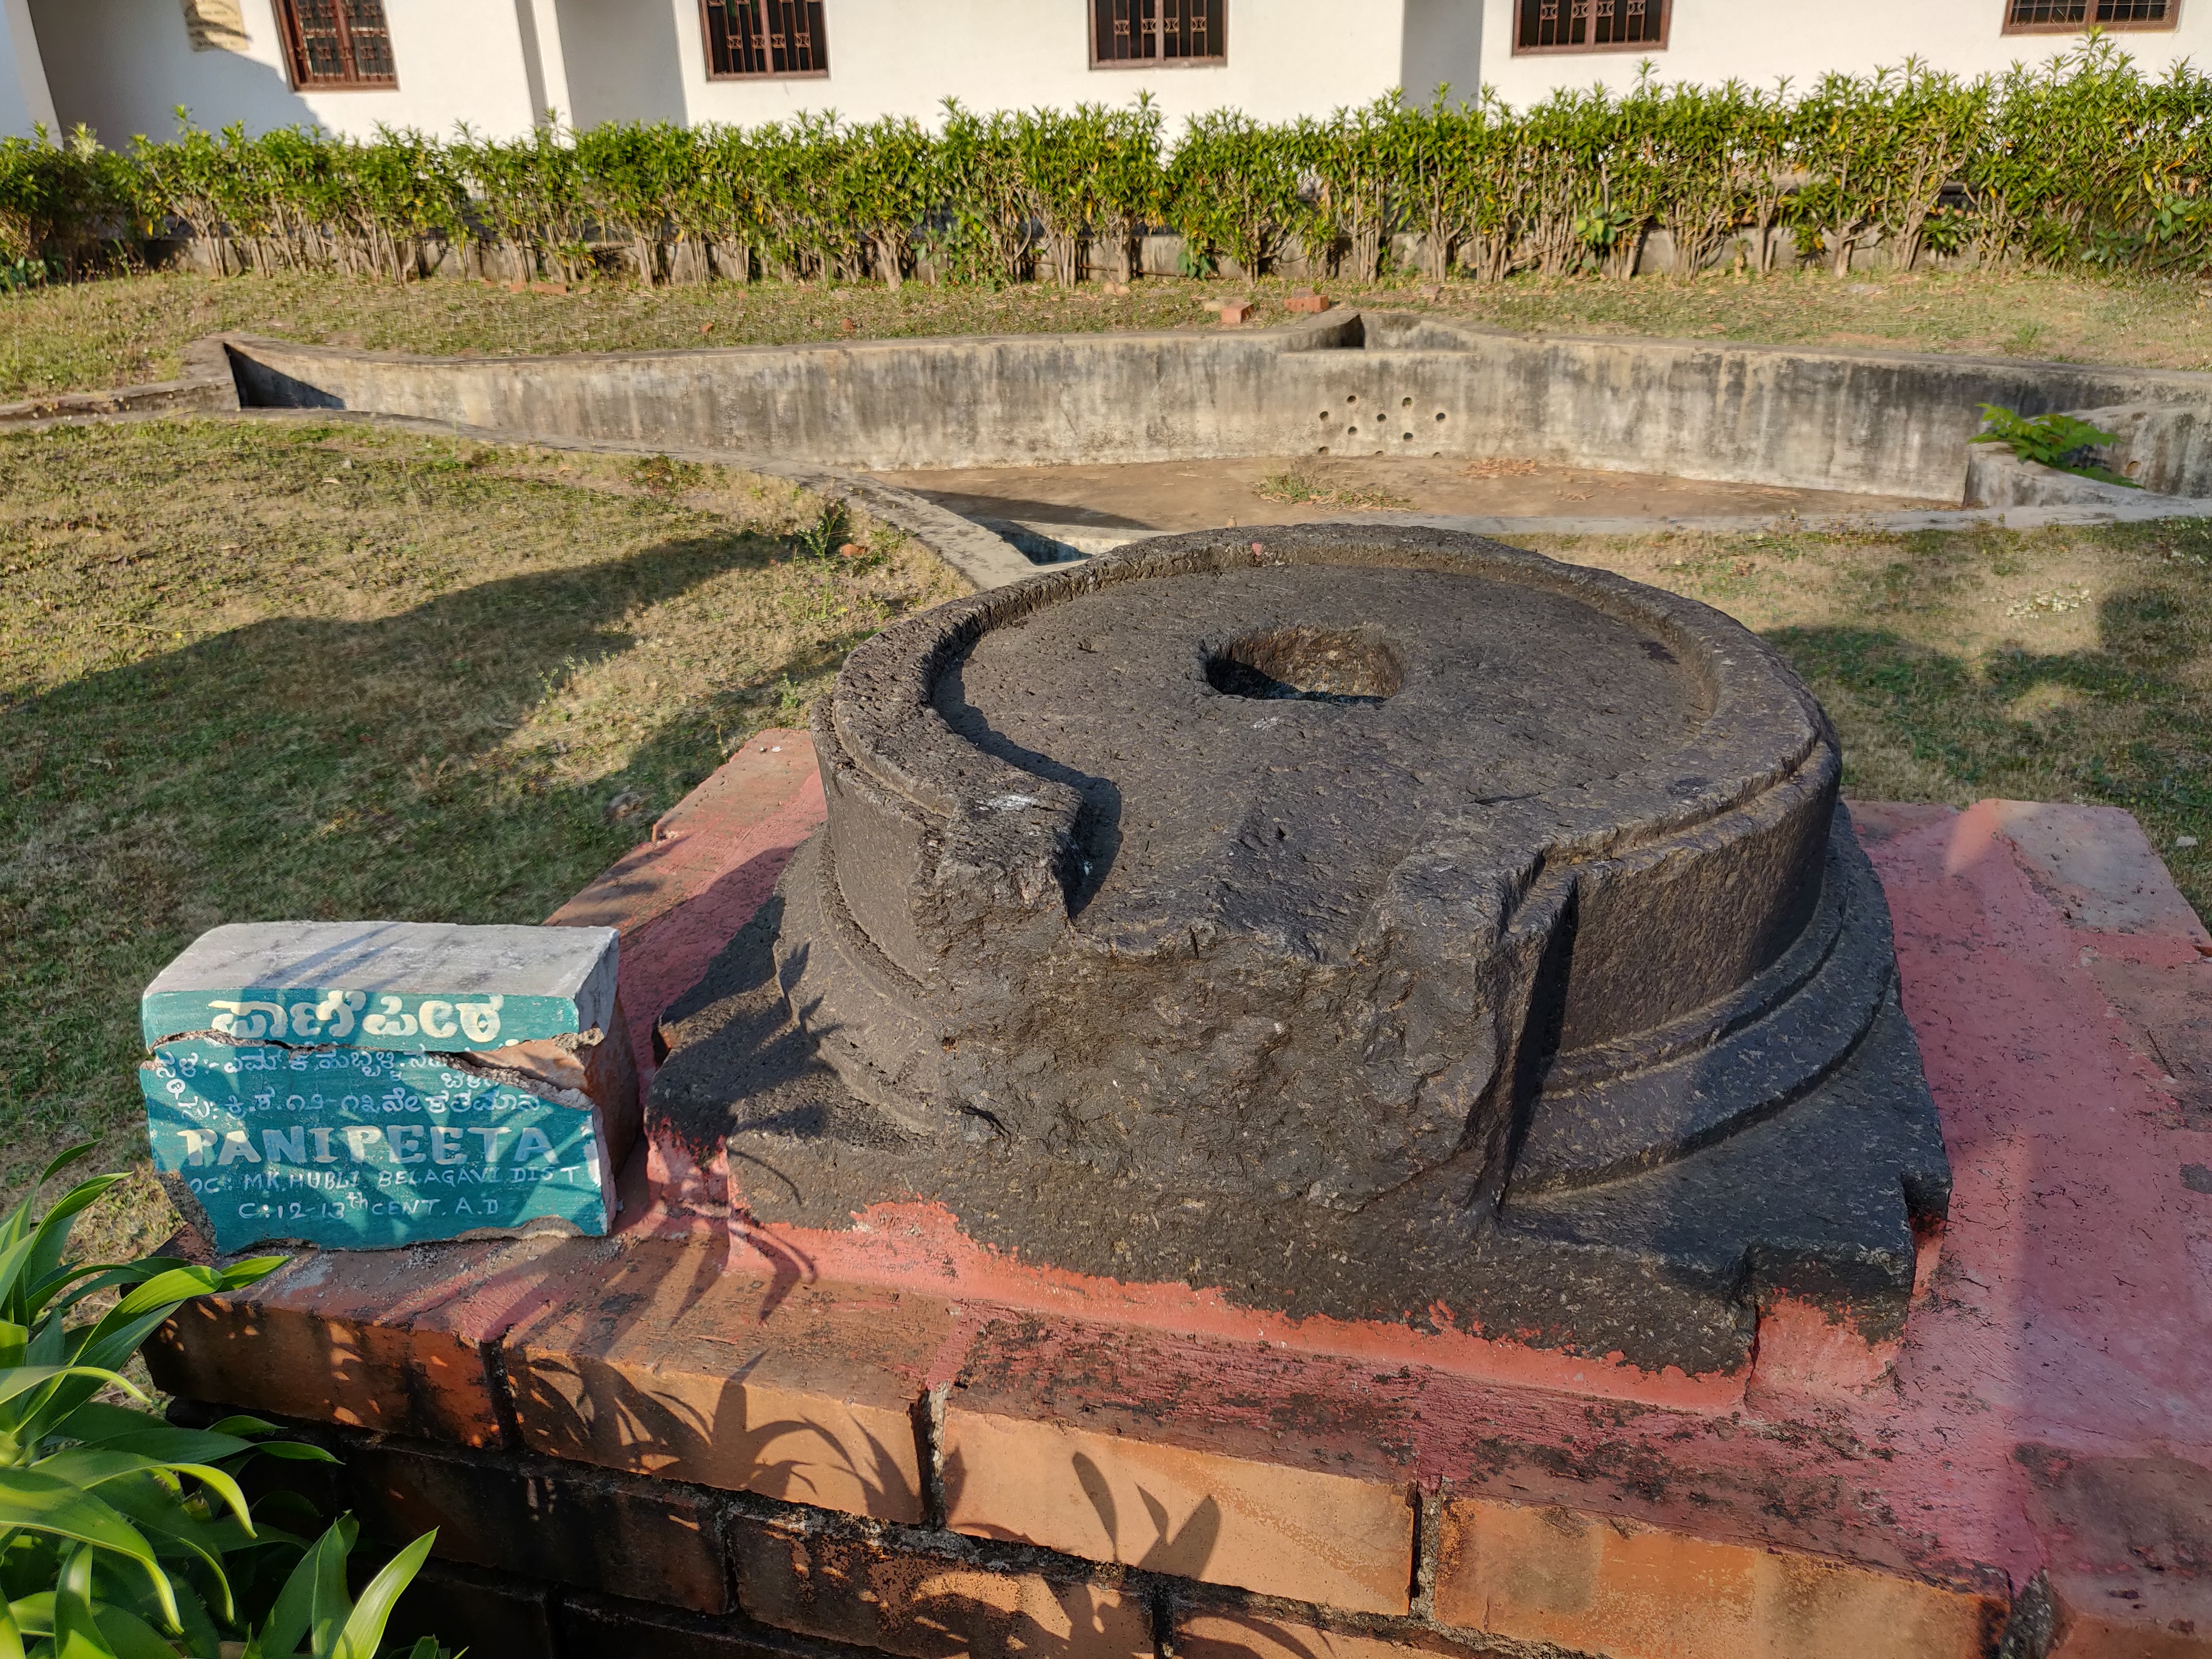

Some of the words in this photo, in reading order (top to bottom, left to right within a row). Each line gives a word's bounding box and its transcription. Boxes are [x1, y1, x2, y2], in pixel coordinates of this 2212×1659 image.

[205, 979, 508, 1046] ಪಾಣಿಪೀಠ
[146, 1039, 205, 1102] ಸ್ಧಳ
[339, 1080, 425, 1117] ೧೩ನೇ
[421, 1081, 543, 1118] ಶತಮನ
[177, 1121, 566, 1169] PANIPEETA
[183, 1172, 223, 1203] PC
[240, 1167, 364, 1194] MK.HUBLI
[235, 1185, 372, 1227] C:12-13th
[371, 1191, 441, 1222] CENT
[375, 1164, 502, 1190] BELAGAVI
[453, 1194, 503, 1221] A.D
[504, 1161, 579, 1187] DIST